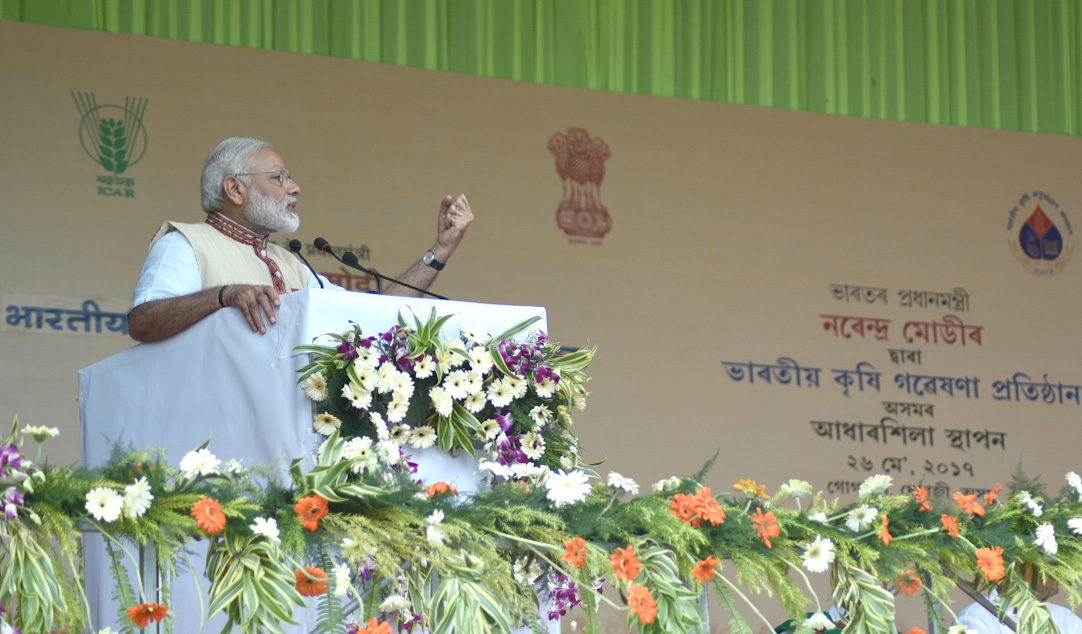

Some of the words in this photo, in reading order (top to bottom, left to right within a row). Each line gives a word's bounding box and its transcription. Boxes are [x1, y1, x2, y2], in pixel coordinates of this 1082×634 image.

[4, 297, 127, 335] भारतीय
[817, 312, 890, 346] নৰেন্দ্ৰ
[825, 281, 894, 307] ভাৰতৰ
[889, 281, 974, 317] প্ৰধানমন্ত্ৰী
[899, 314, 985, 349] মোডীৰ
[719, 351, 827, 393] ভাৰতীয়
[828, 360, 881, 400] কৃষি
[883, 341, 927, 371] দ্বাৰা
[892, 367, 984, 401] গৱেষণা
[989, 370, 1081, 407] প্ৰতিষ্ঠান
[876, 395, 940, 423] অসমৰ
[806, 413, 939, 448] আধাৰশিলা
[942, 423, 1012, 456] স্থাপন
[841, 447, 914, 482] ২৬ মে'
[923, 453, 982, 482] ২০১৭